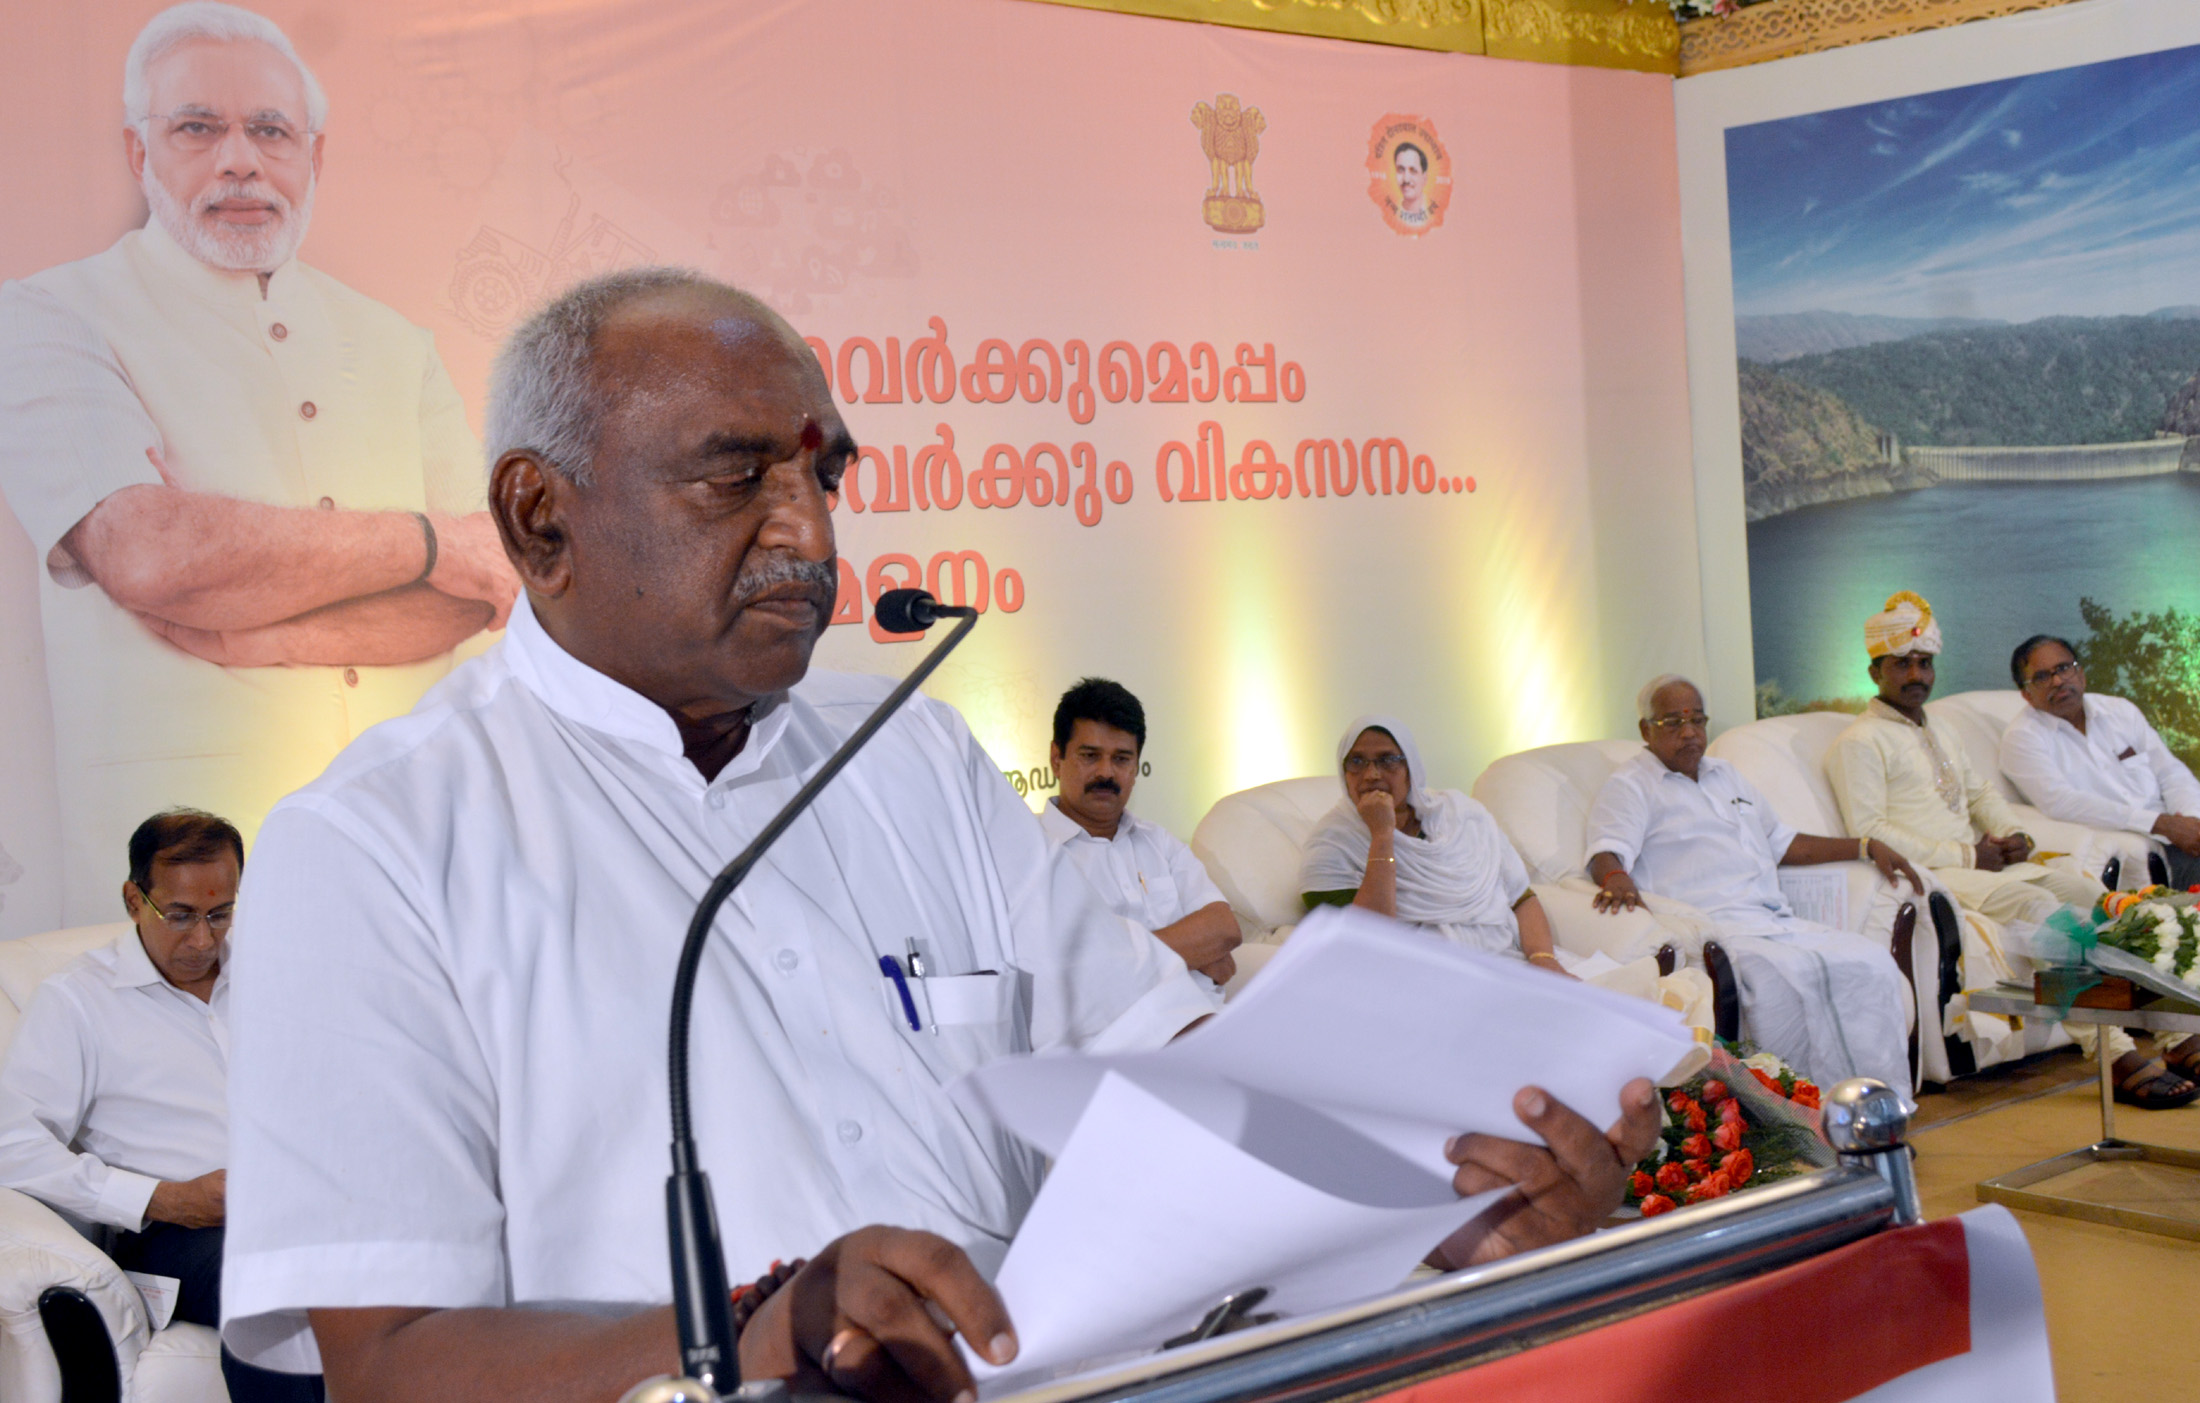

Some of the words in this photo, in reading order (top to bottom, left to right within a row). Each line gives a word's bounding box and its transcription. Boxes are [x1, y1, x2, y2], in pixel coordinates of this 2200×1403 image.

[793, 308, 1315, 429] വെർക്കുമൊപ്പം
[832, 415, 1139, 535] വർക്കും
[1149, 414, 1445, 509] വികസനം